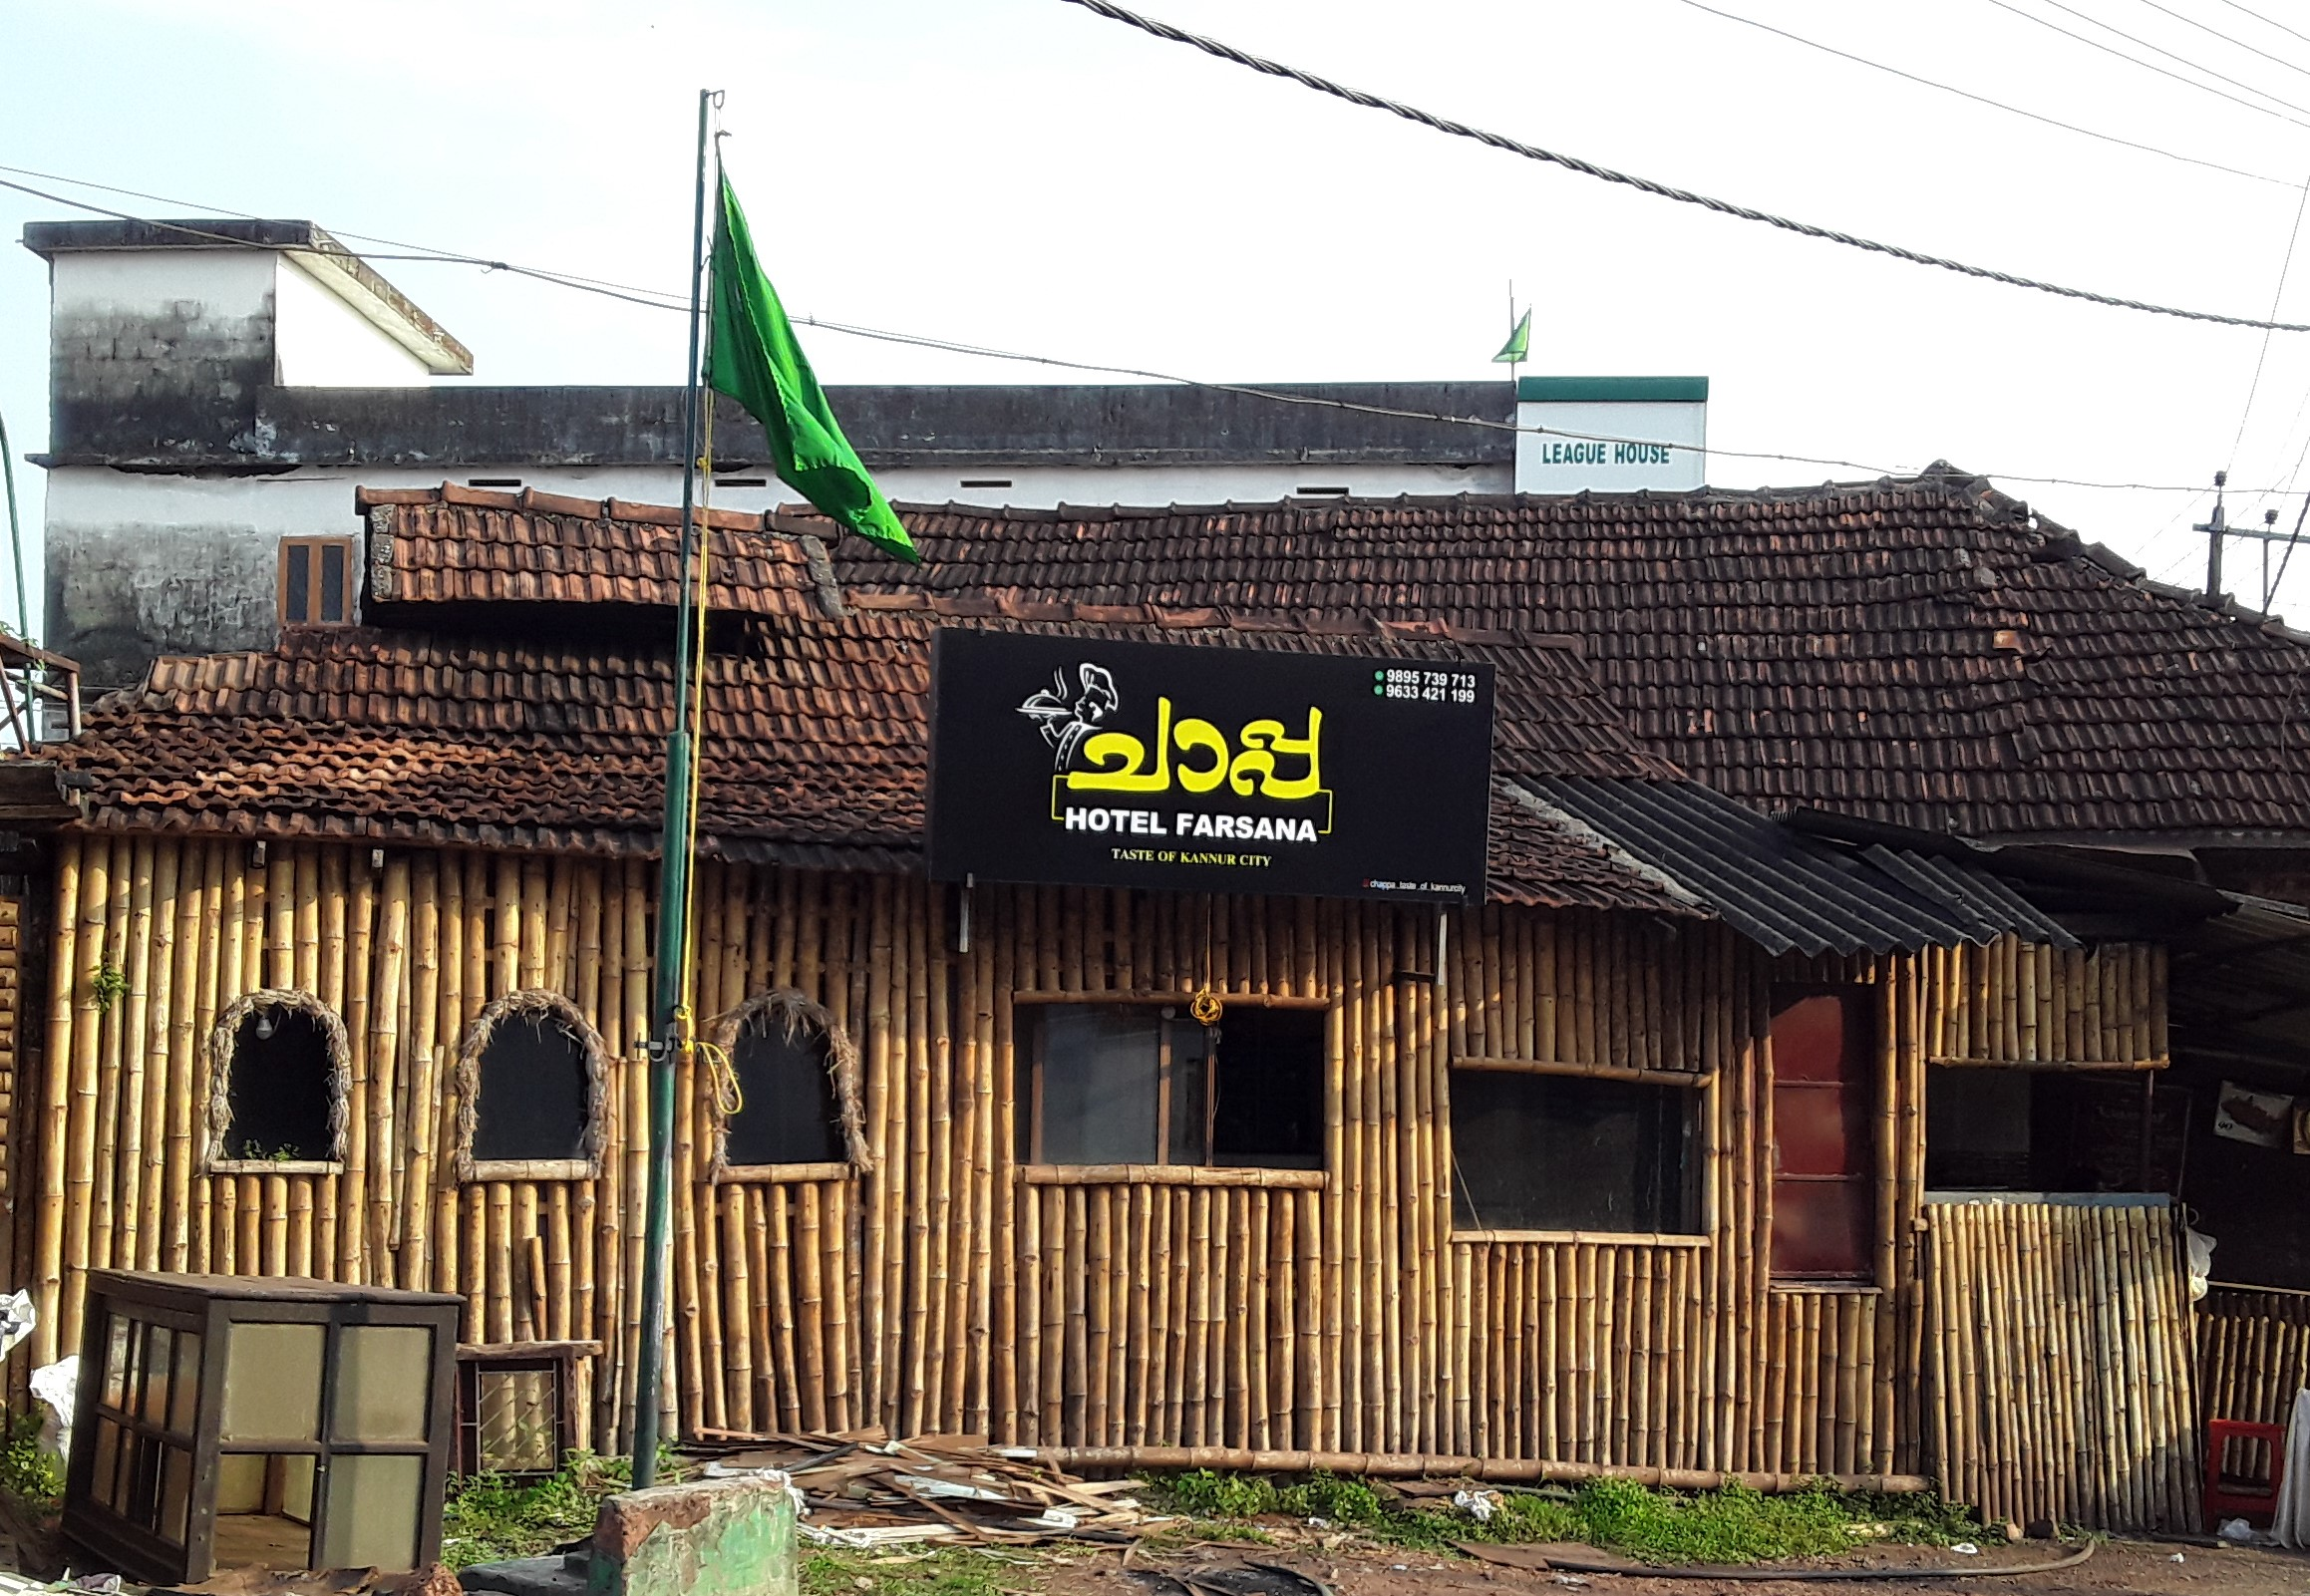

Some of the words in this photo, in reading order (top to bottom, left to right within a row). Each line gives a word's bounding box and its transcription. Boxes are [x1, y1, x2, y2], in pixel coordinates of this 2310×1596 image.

[1536, 439, 1613, 472] LEAGUE
[1612, 436, 1676, 470] HOUSE
[1384, 664, 1482, 711] 9895739713 9633421199
[1063, 691, 1326, 803] ചാപ്പ
[1063, 803, 1172, 840] HOTEL
[1173, 807, 1322, 846] FARSANA
[1106, 841, 1157, 864] TASTE
[1155, 844, 1182, 868] OF
[1175, 846, 1240, 872] KANNUR
[1232, 850, 1277, 873] CITY